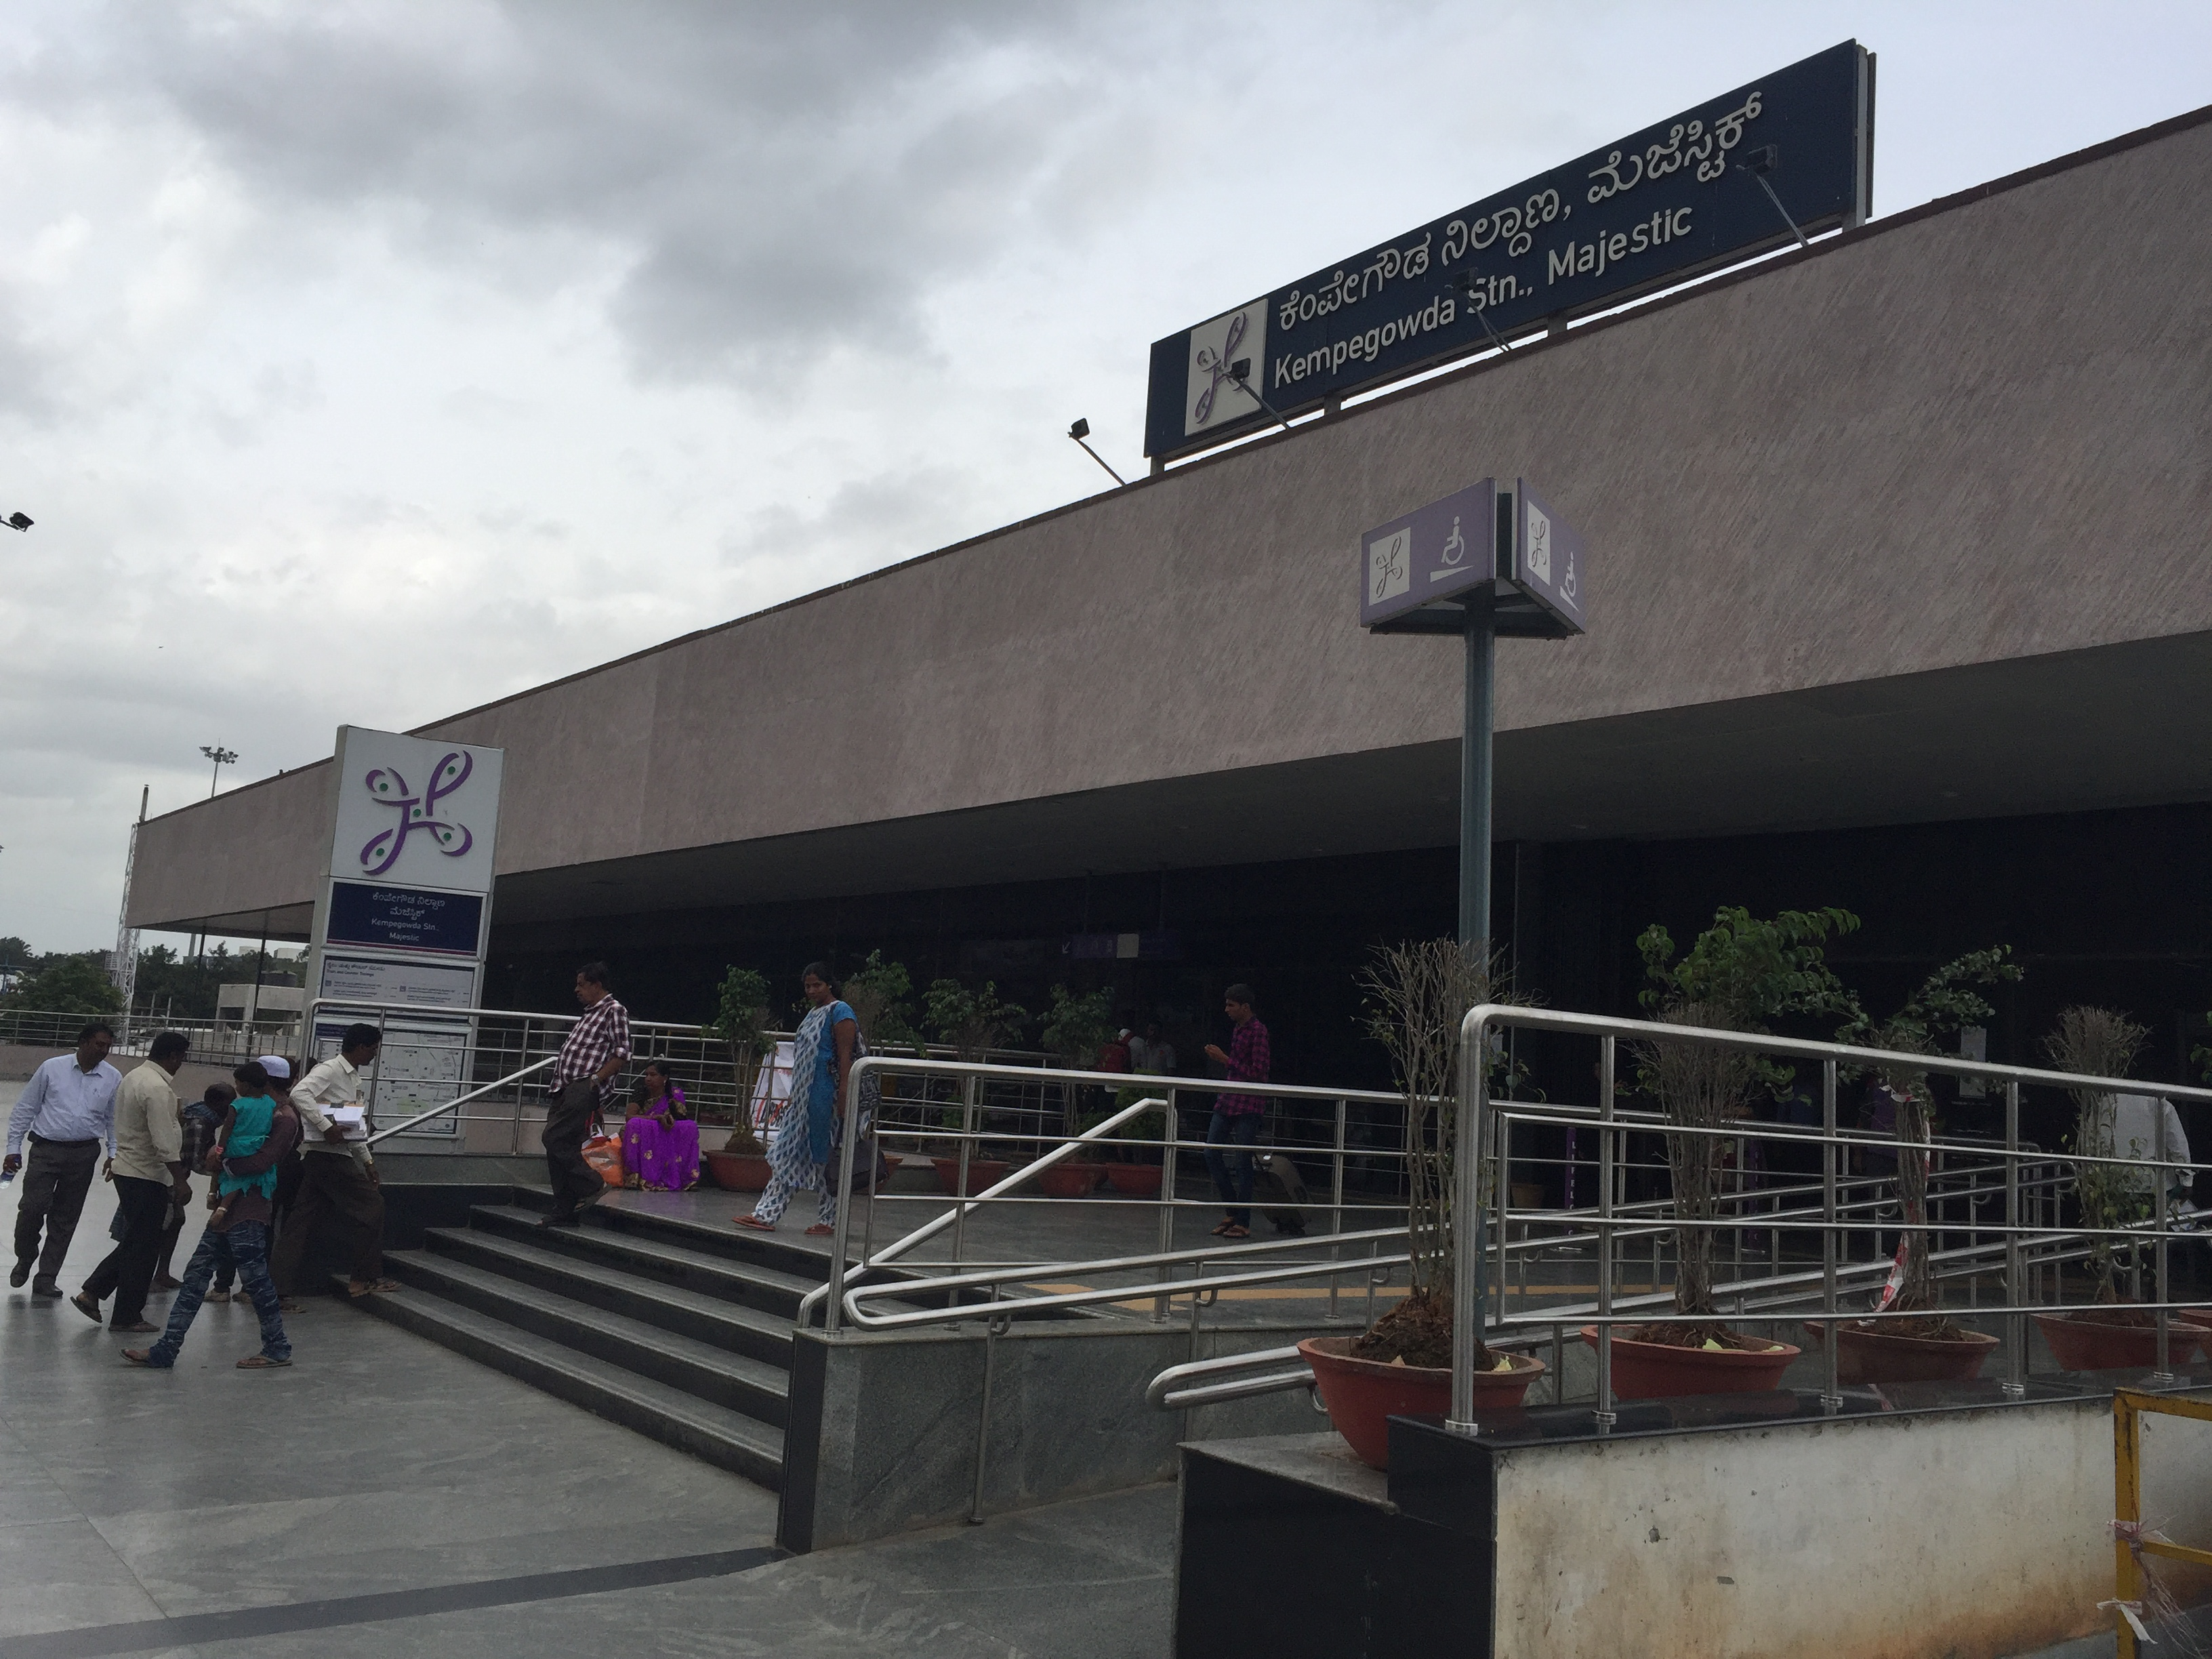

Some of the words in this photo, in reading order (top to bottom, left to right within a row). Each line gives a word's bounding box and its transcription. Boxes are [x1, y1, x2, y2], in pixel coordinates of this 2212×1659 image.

[1582, 86, 1767, 207] ಮಜೆಸ್ಟಿಕ್
[1435, 182, 1564, 270] ನಿಲ್ದಾಣ
[1546, 202, 1695, 288] Majestic
[1273, 228, 1436, 340] ಕೆಂಪೇಗೌಡ
[1460, 264, 1534, 323] Stn.,
[1273, 291, 1458, 390] Kempegowda
[367, 884, 418, 908] ಕೆಂಪೇಗೌಡ
[369, 916, 424, 931] 14ಗಾರಿಂದ್ರರೂ
[387, 928, 422, 945] Majestic
[384, 902, 428, 922] ಮಜೆಸ್ಟಿಕ್
[420, 919, 439, 935] SIN
[415, 890, 448, 913] ನಿಲ್ದಾಣ